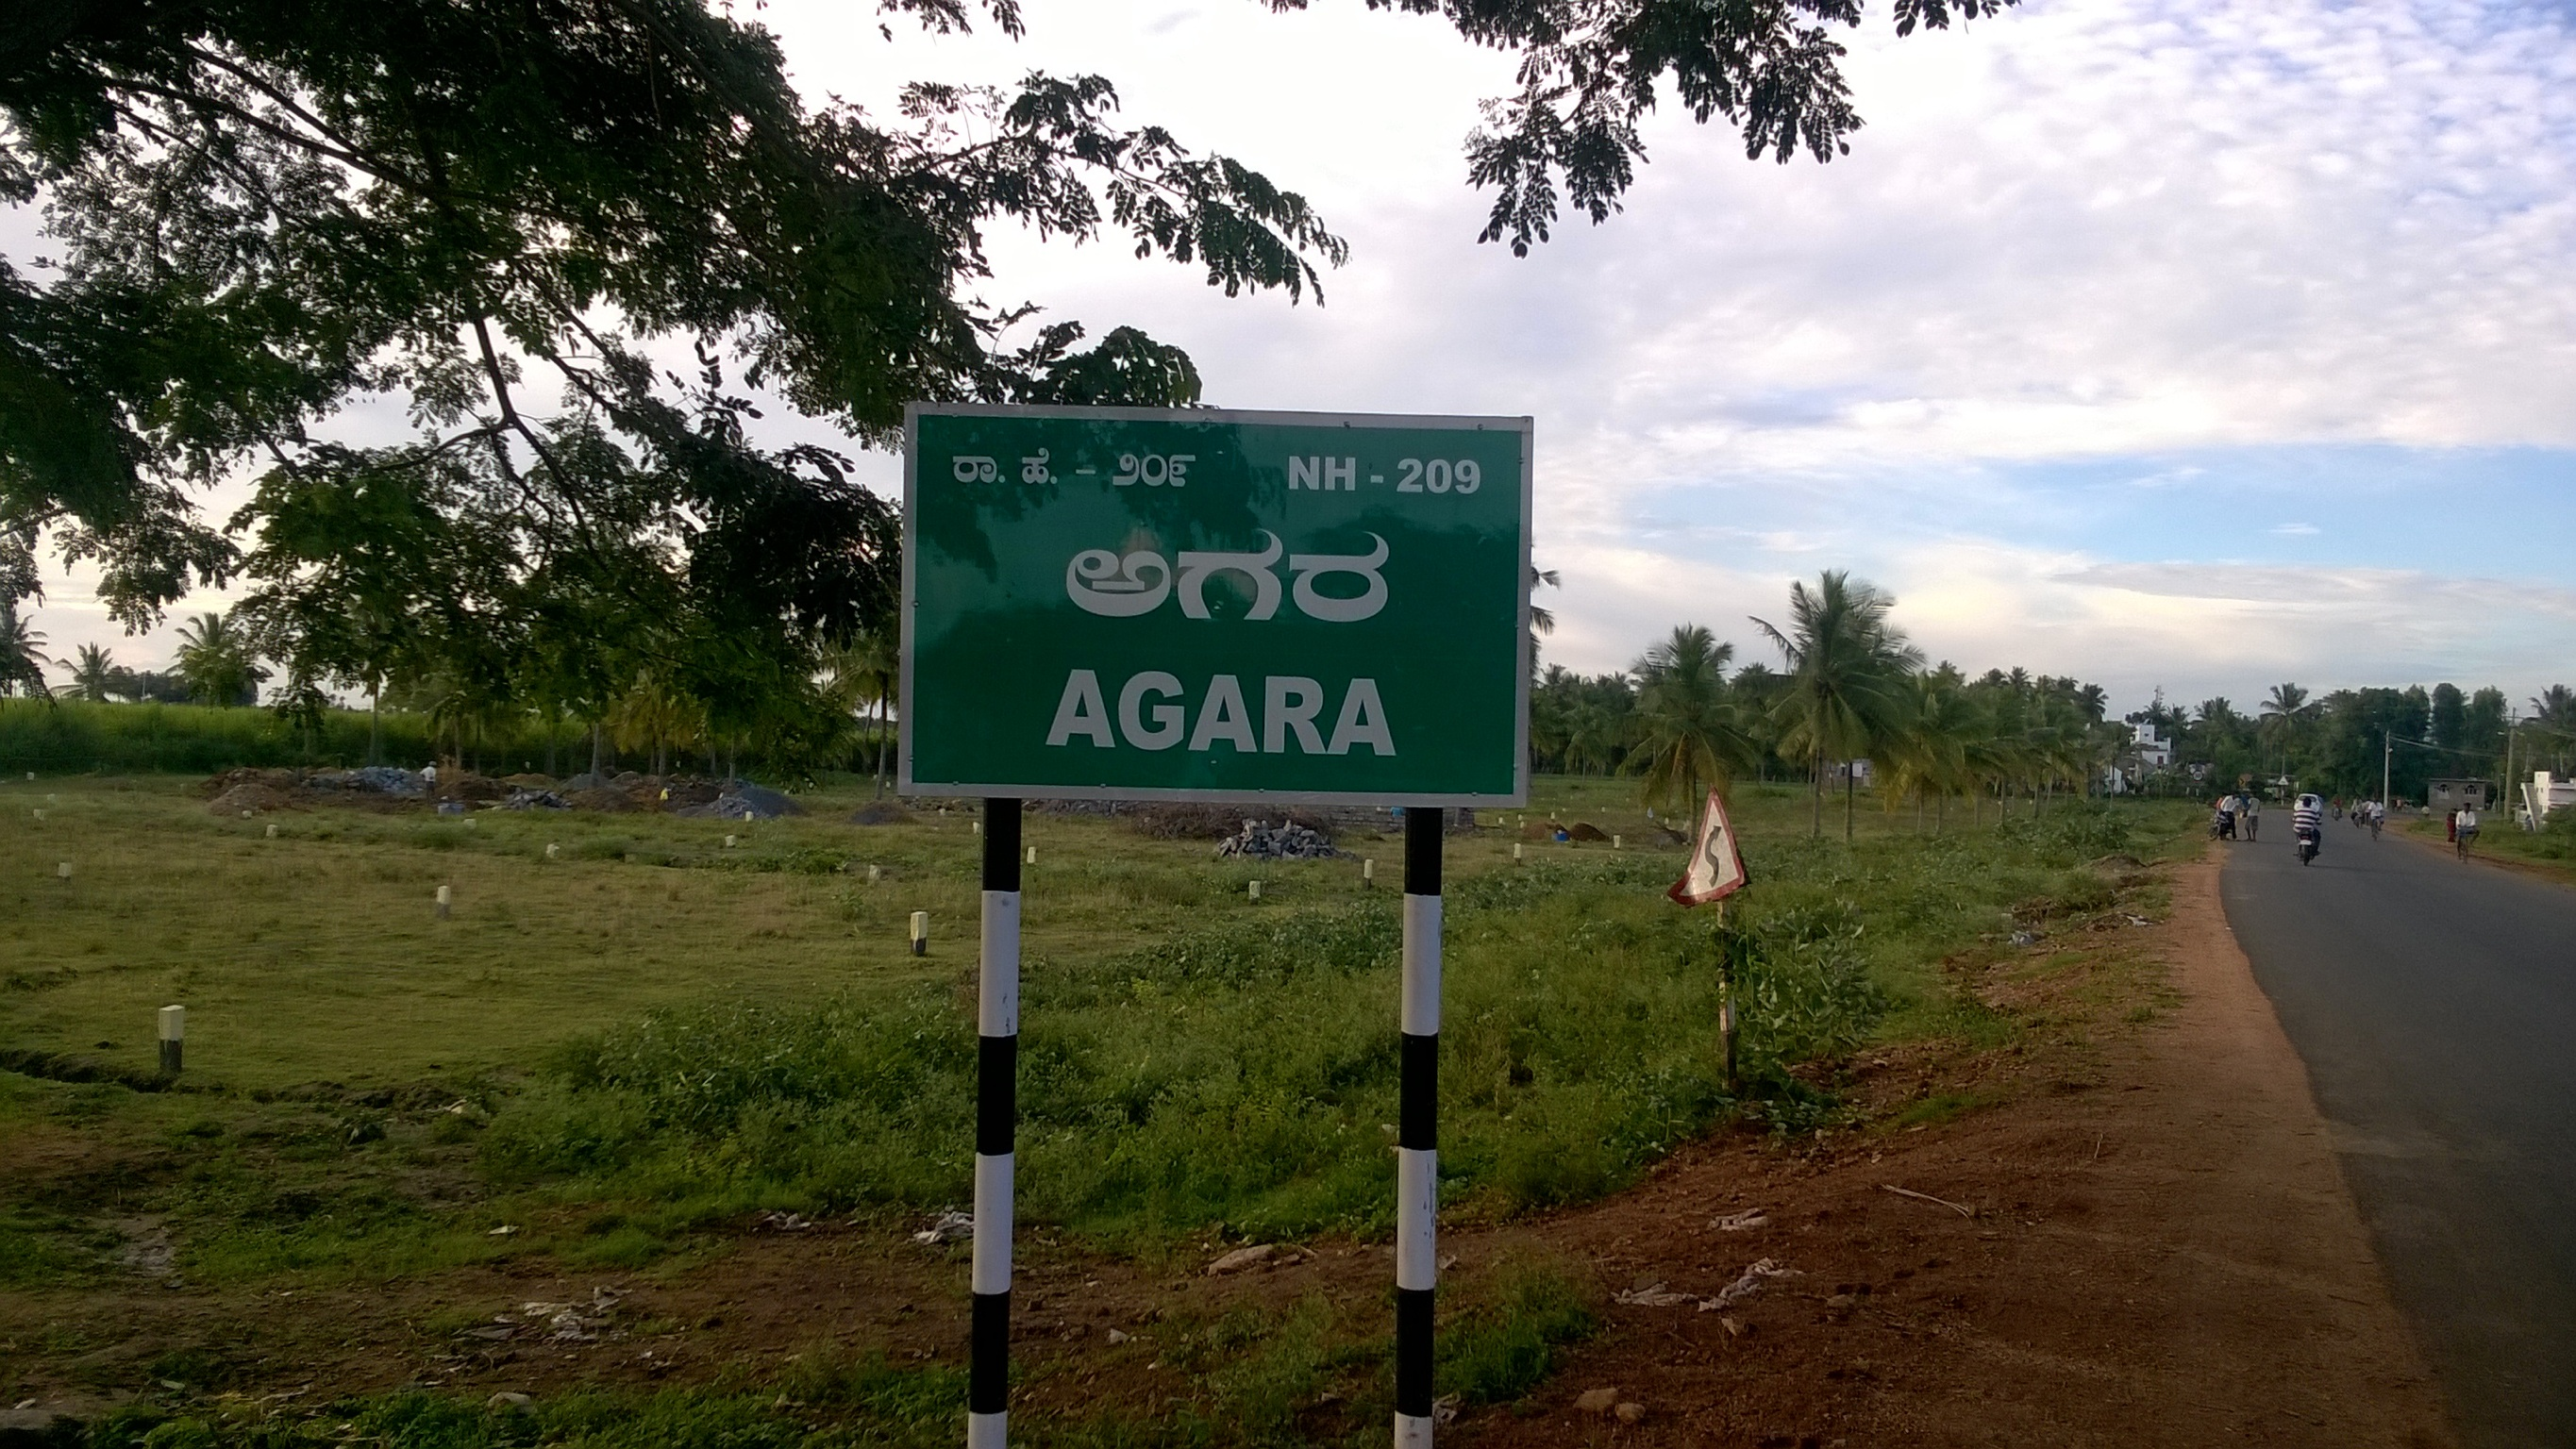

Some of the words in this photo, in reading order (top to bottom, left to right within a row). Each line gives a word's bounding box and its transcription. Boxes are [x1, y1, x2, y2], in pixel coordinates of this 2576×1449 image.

[947, 447, 1010, 494] ರಾ.
[1017, 441, 1063, 489] ಹೆ.
[1108, 445, 1196, 492] ೨೦೯
[1282, 447, 1361, 498] NH
[1393, 450, 1484, 501] 209
[1059, 524, 1397, 630] ಅಗರ
[1041, 662, 1403, 760] AGARA